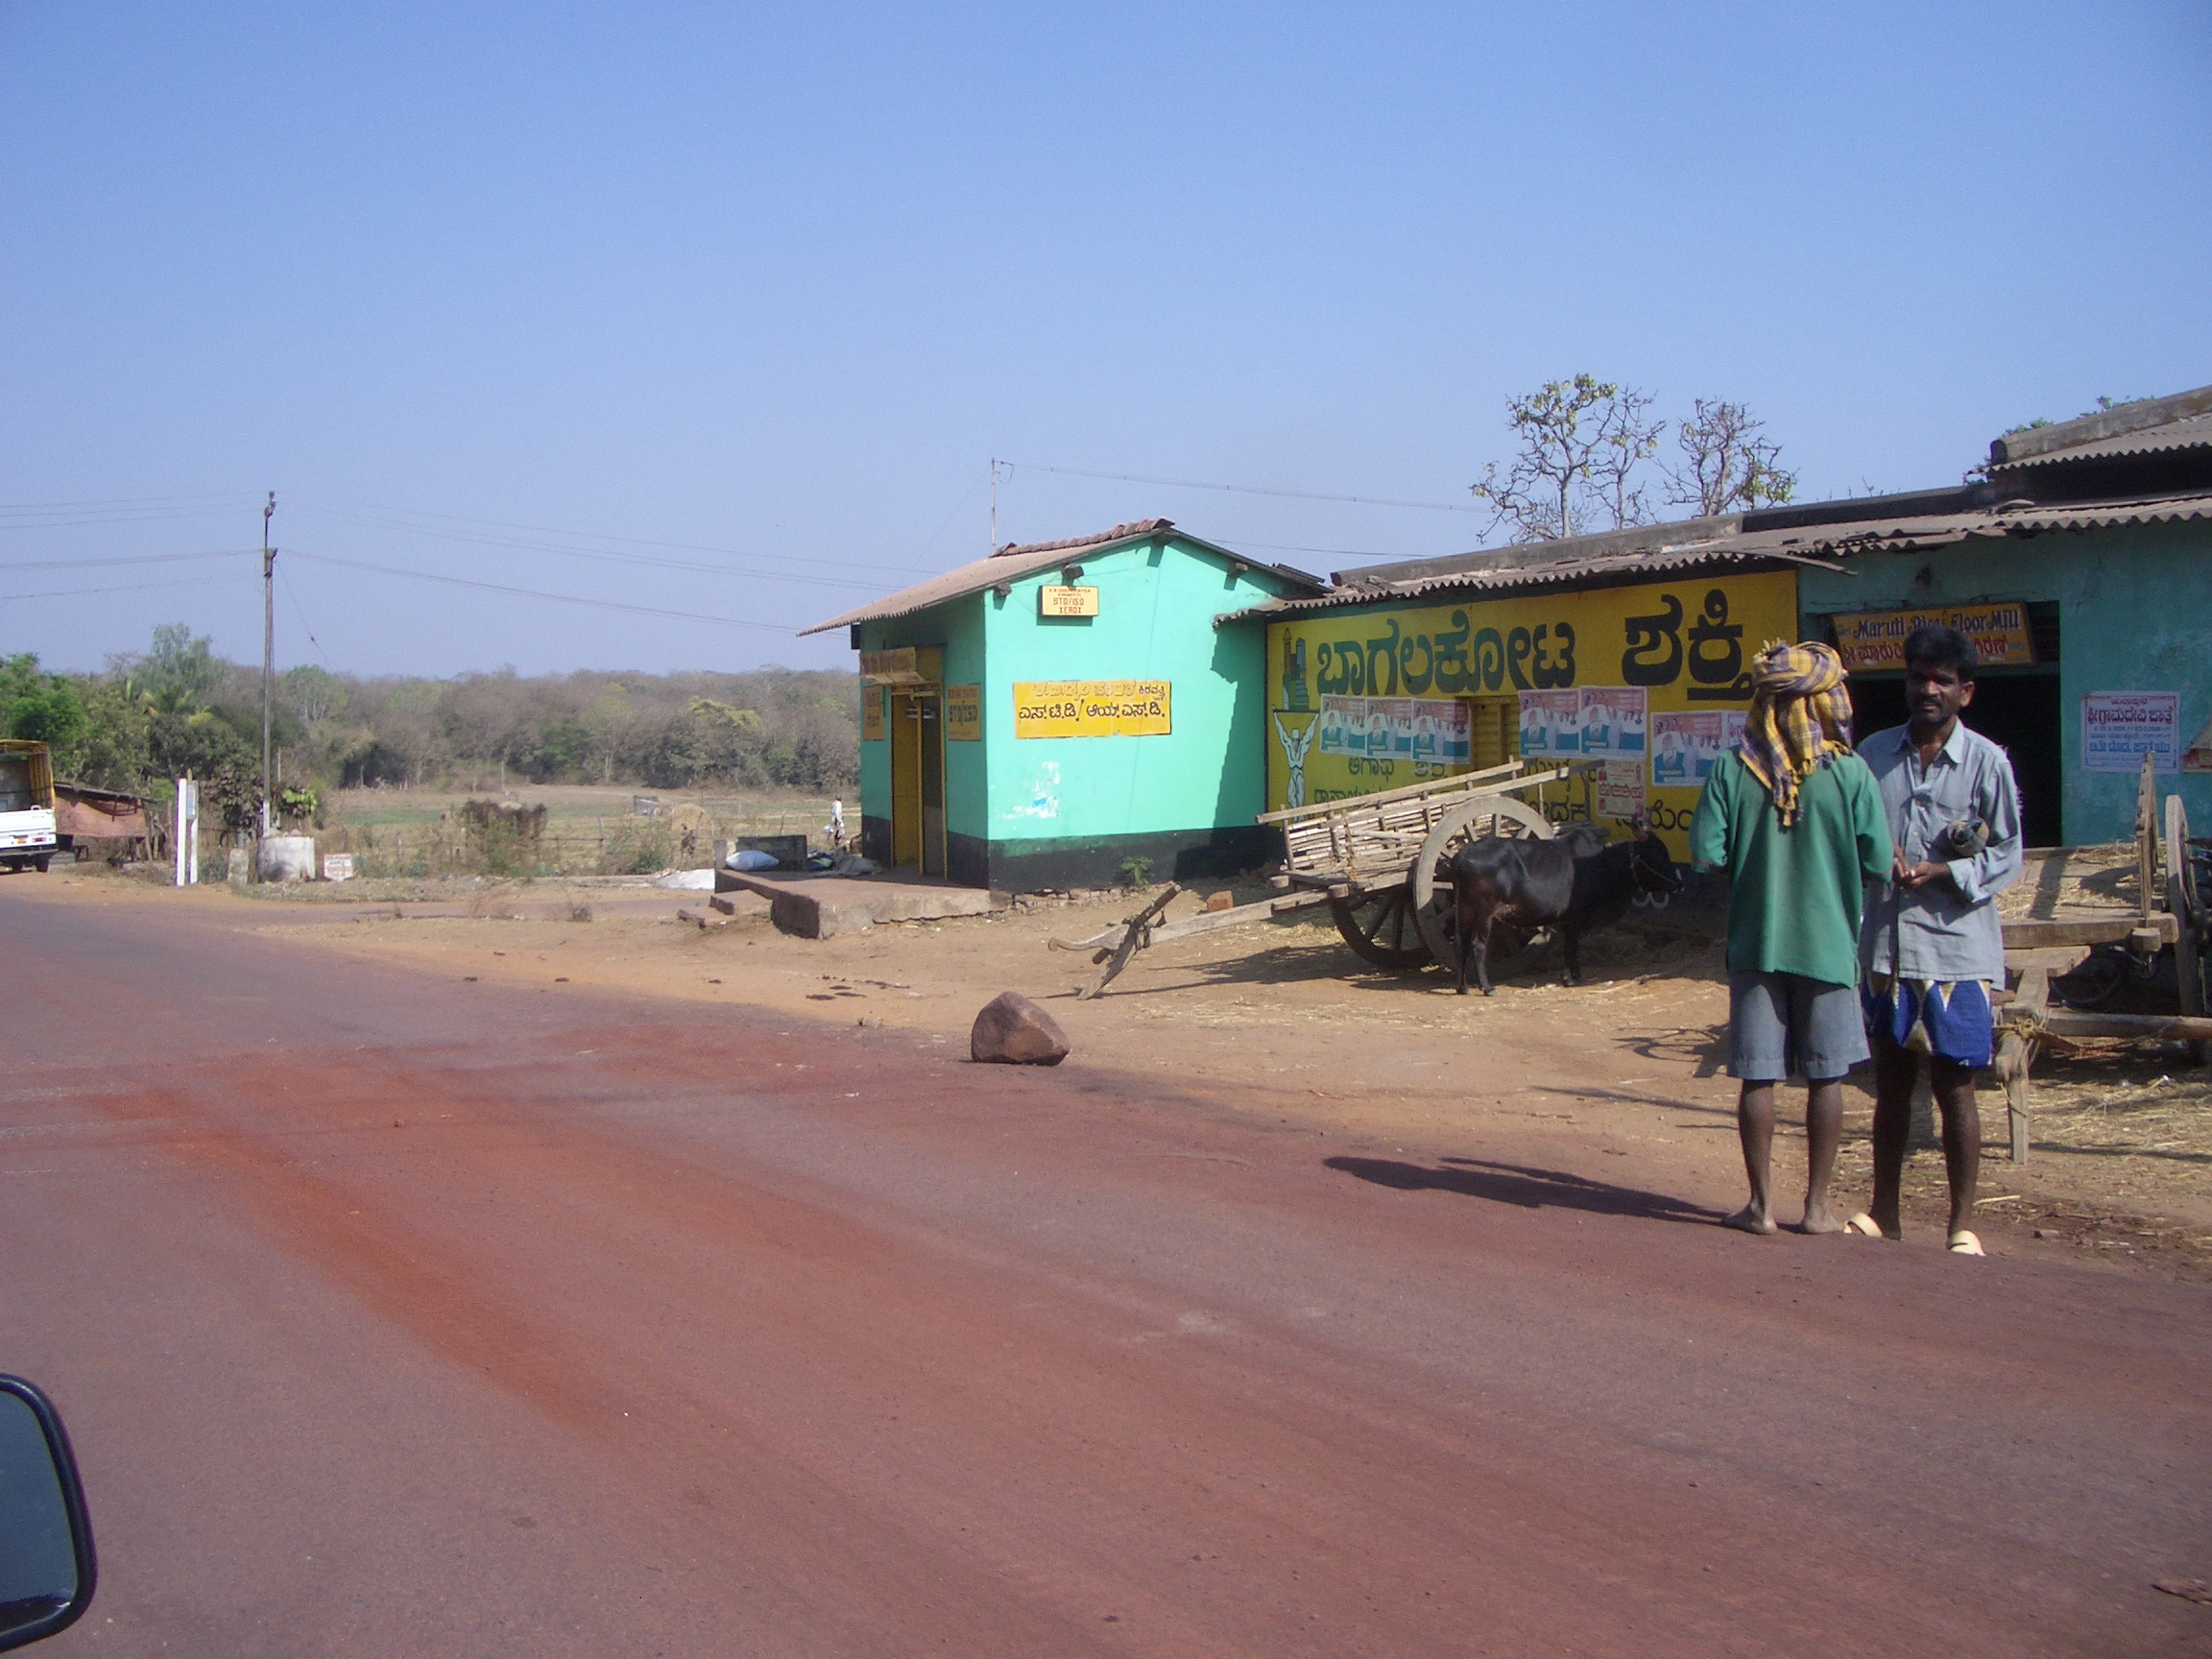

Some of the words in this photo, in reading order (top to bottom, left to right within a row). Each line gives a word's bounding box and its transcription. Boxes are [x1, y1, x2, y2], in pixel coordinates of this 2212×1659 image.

[1050, 596, 1088, 611] STD/ISD
[1056, 603, 1086, 619] XEROX
[1849, 608, 1908, 643] Maruti
[1944, 604, 1990, 638] Floor
[1313, 602, 1584, 702] ಬಾಗಲಕೋಟ
[1618, 584, 1767, 707] ಶಕ್ತಿ
[944, 694, 981, 729] STDISD
[1017, 698, 1085, 724] ಎಸ್.ಟಿ.ಡಿ.
[1078, 694, 1168, 726] ಆಯ್. ಎಸ್. ಡಿ.